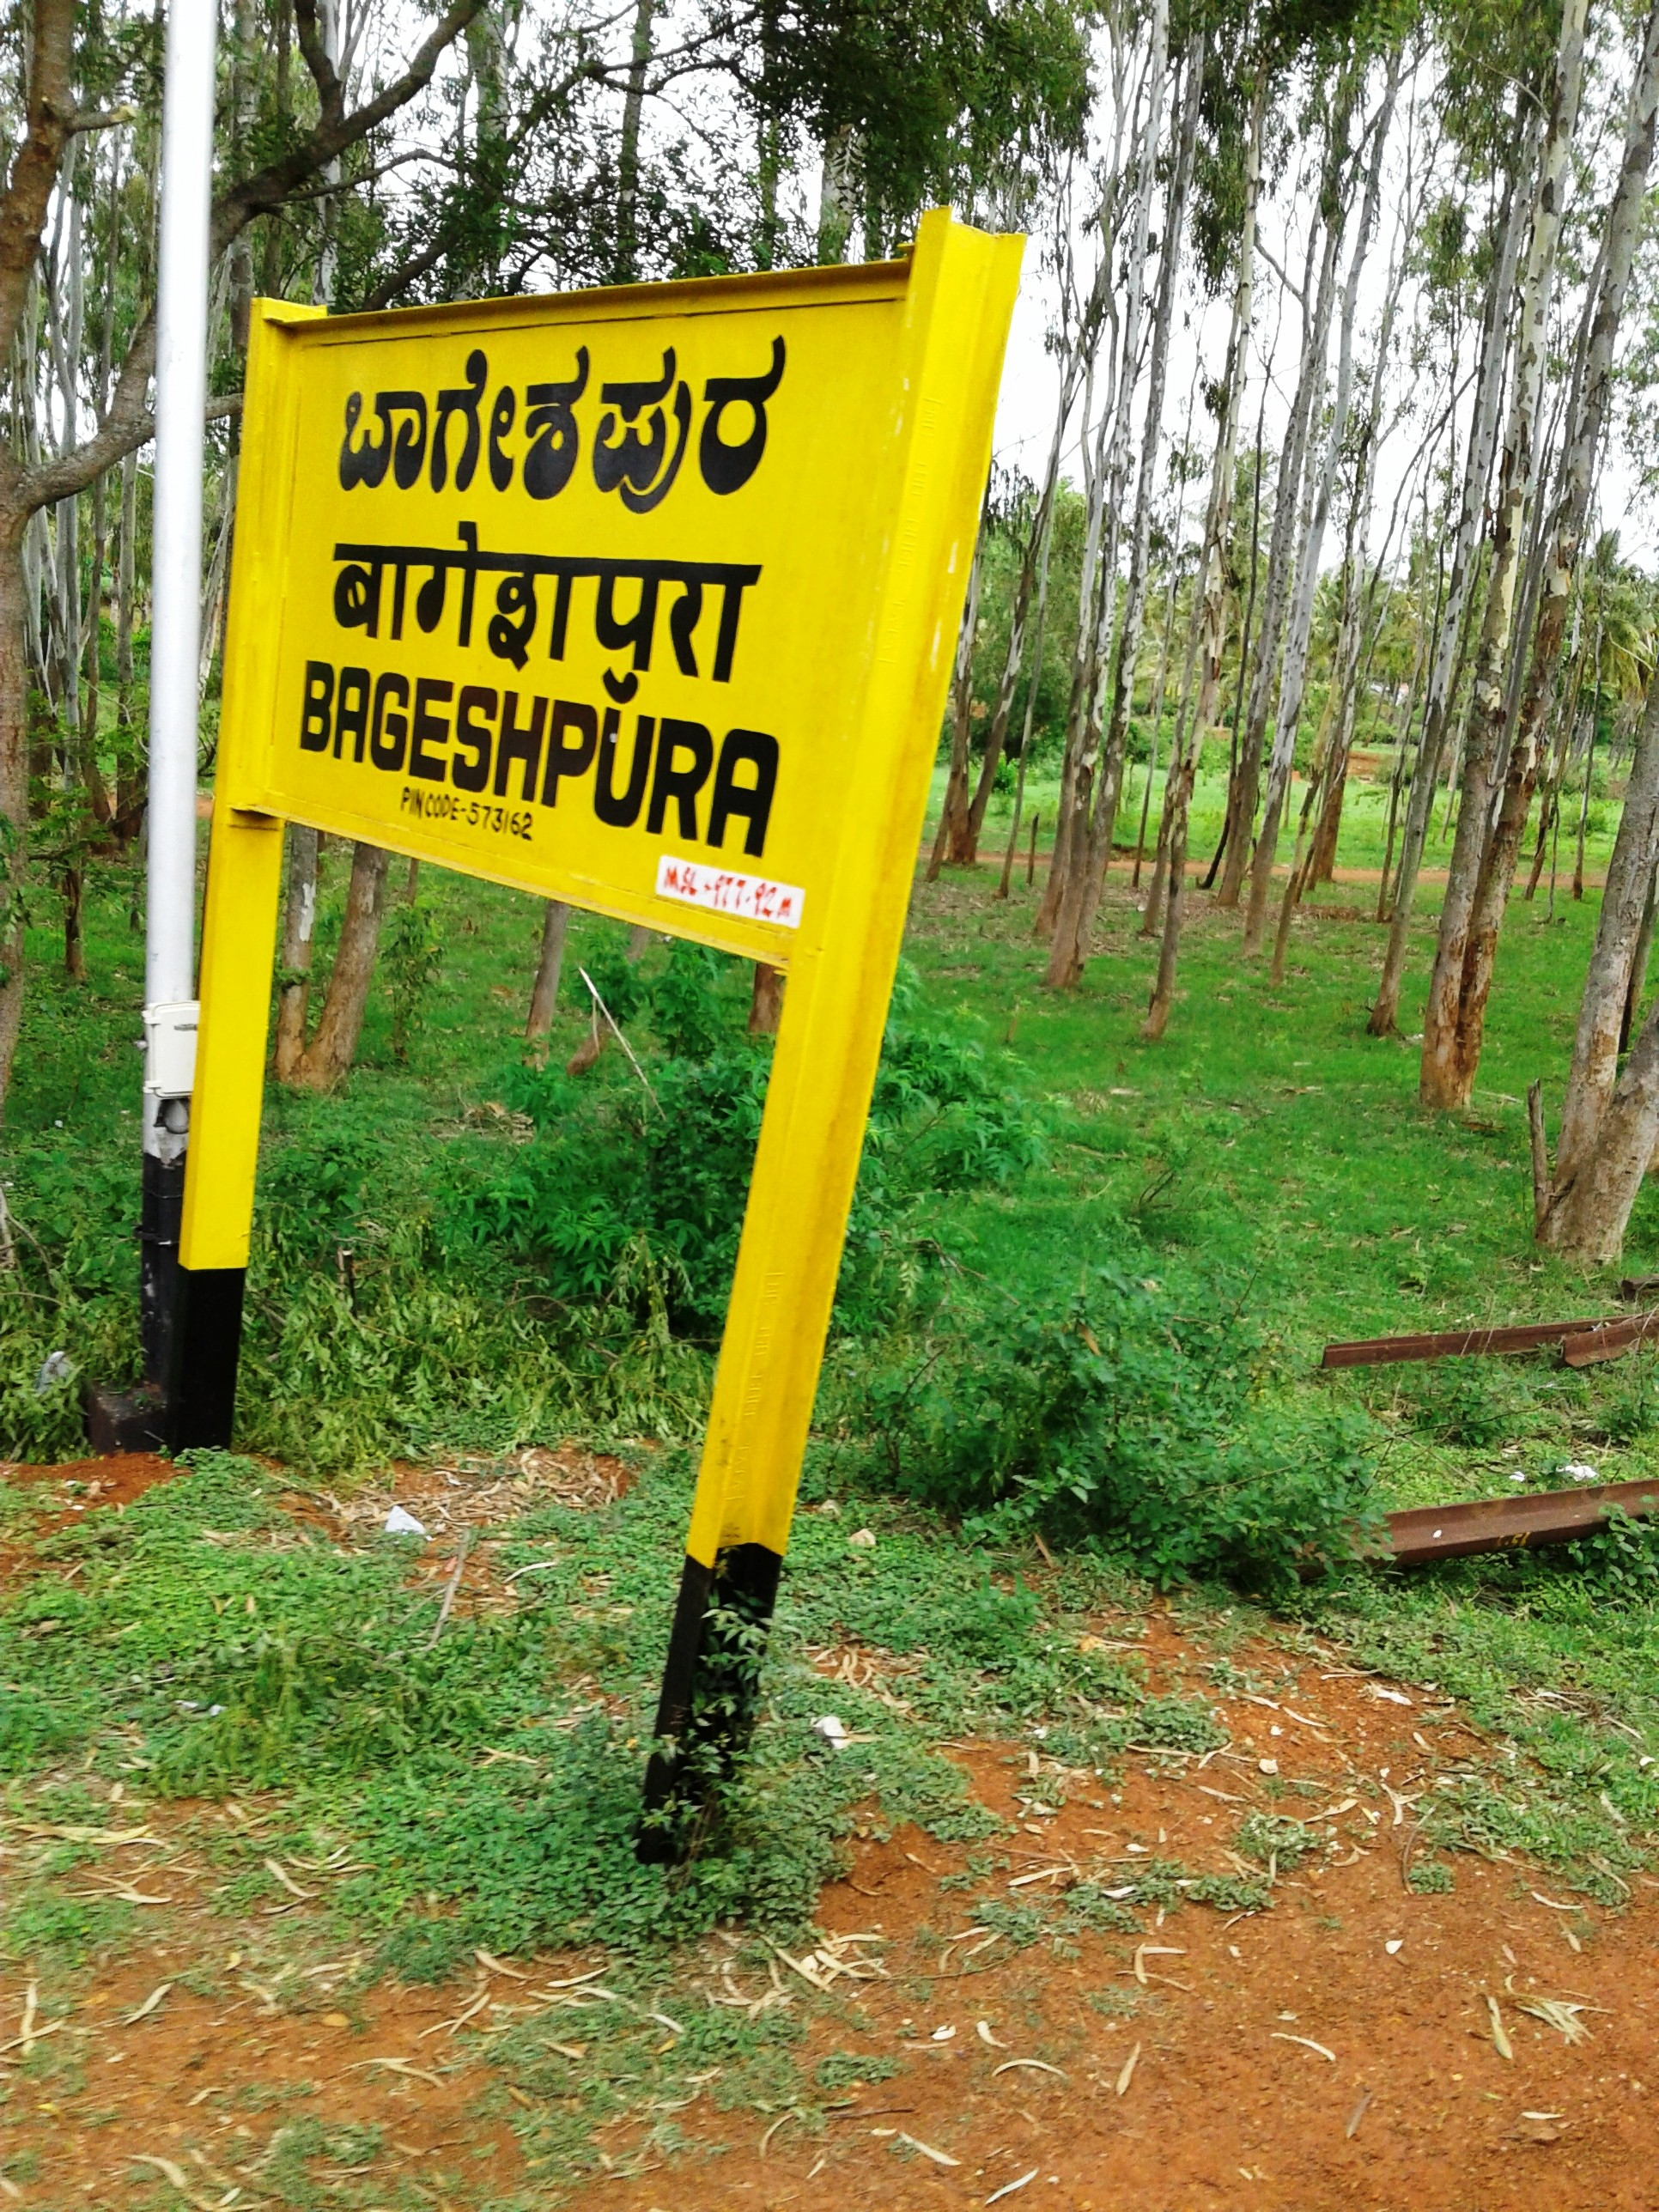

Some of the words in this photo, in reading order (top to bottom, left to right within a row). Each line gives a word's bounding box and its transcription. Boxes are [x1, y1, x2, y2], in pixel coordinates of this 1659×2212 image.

[329, 326, 795, 517] ಬಾಗೇಶಪುರ
[326, 515, 769, 711] बागेशपुरा
[392, 782, 538, 845] PINCODE-573162
[289, 654, 788, 863] BAGESHPURA
[650, 859, 796, 933] MSL-977-92M